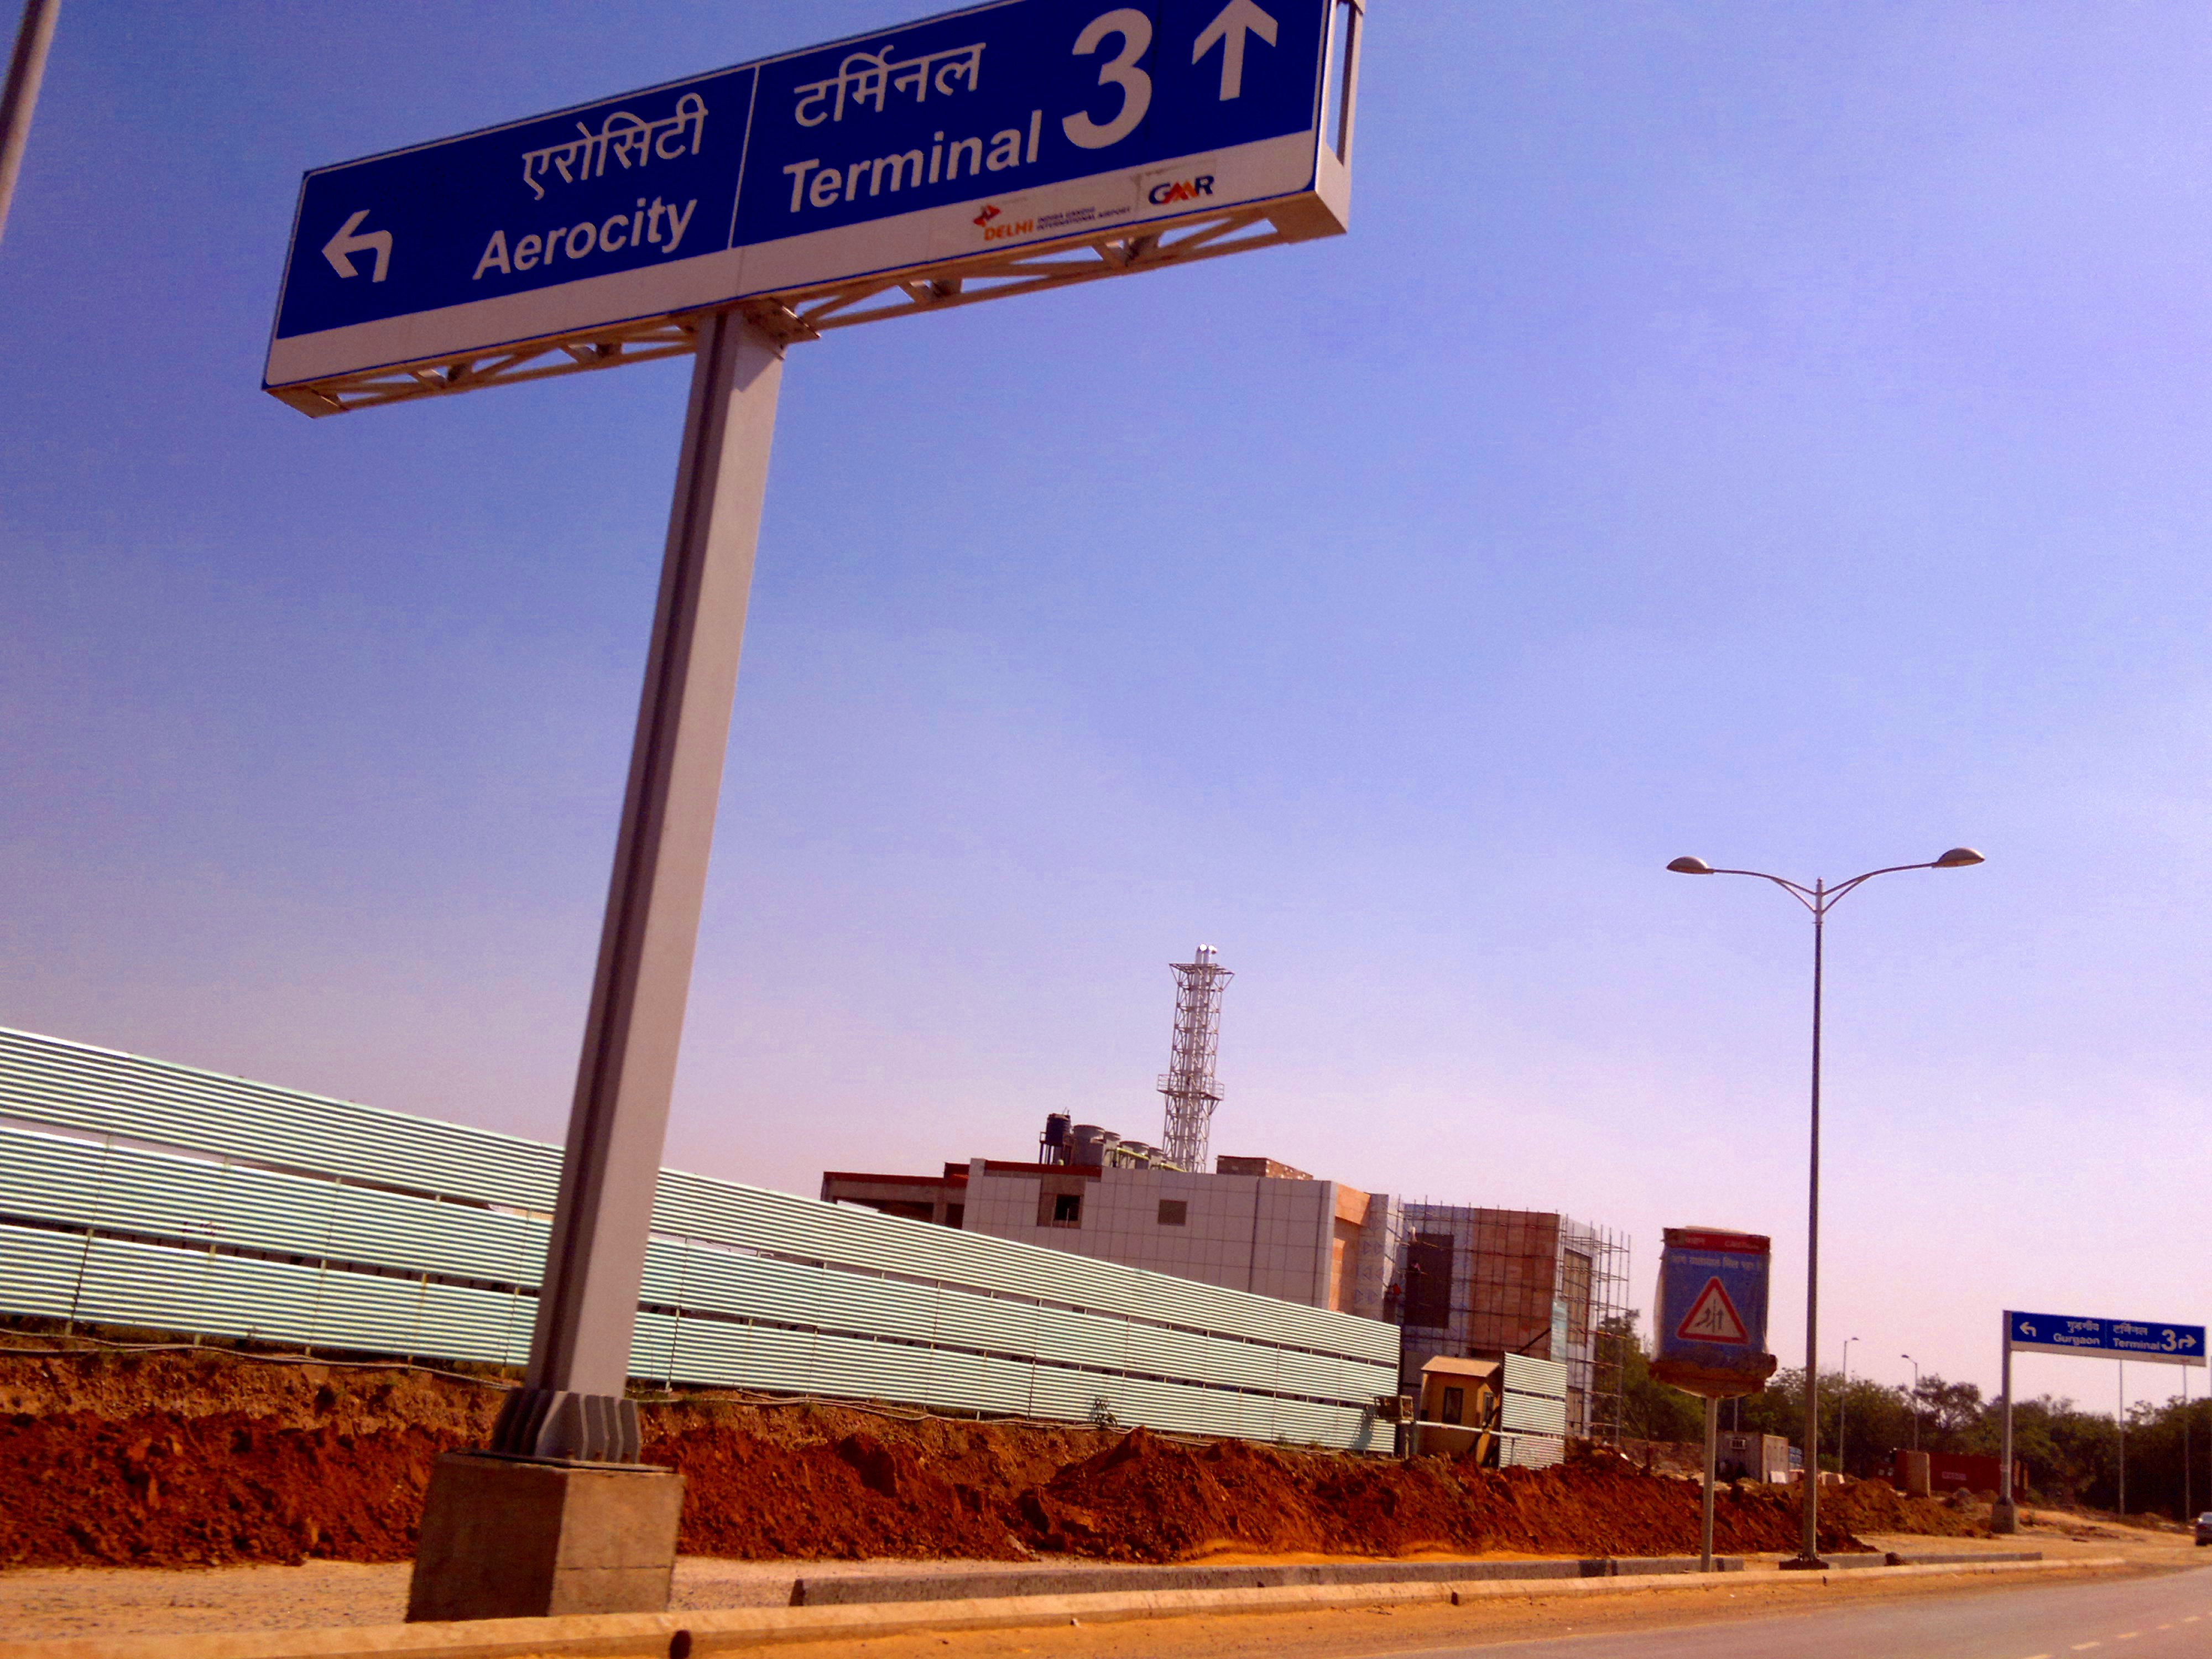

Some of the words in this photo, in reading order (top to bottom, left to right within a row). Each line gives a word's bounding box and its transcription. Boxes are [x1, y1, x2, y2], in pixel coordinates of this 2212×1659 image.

[782, 38, 995, 133] टर्मिनल
[1059, 7, 1180, 149] 3
[467, 191, 702, 284] Aerocity
[515, 85, 712, 207] एरोसिटी
[778, 105, 1052, 216] Terminal
[979, 212, 1039, 244] DELHI
[1139, 167, 1221, 212] GAR